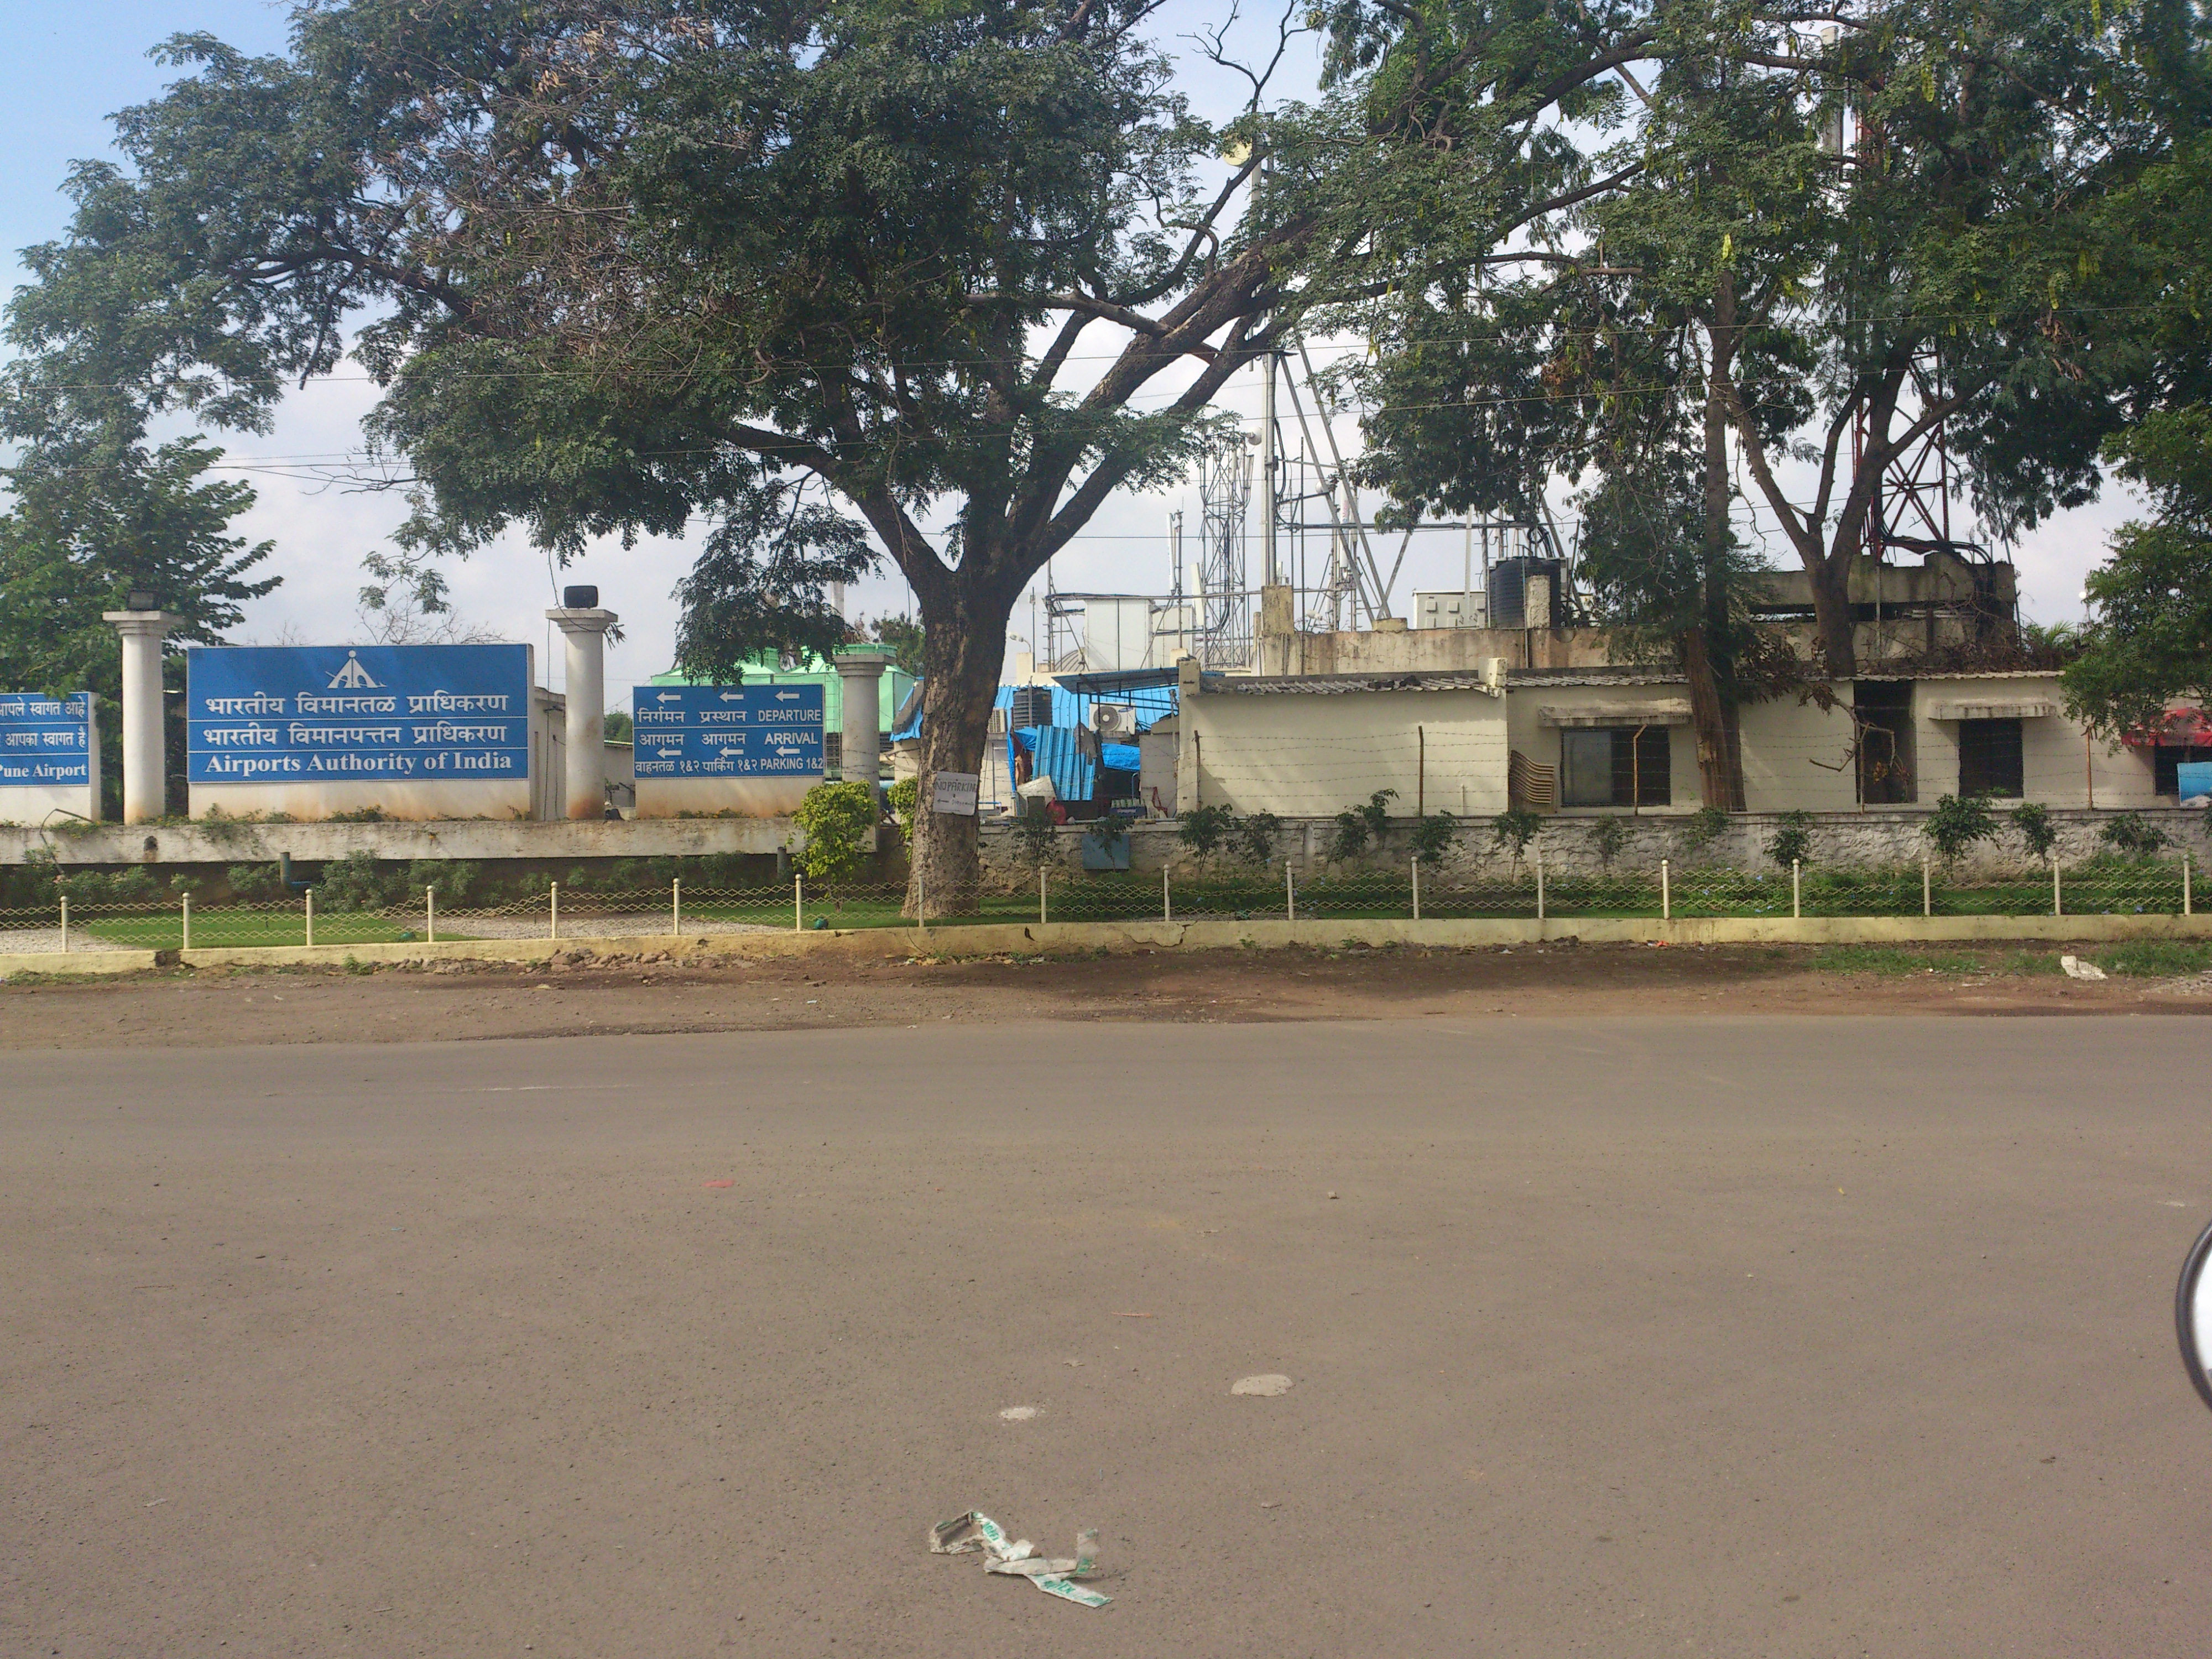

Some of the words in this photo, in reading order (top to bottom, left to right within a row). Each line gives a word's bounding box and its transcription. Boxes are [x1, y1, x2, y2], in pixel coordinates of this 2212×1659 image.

[26, 700, 62, 720] स्वागत
[62, 691, 88, 721] आहे
[201, 688, 288, 718] भारतीय
[290, 687, 401, 717] विमानतळ
[405, 685, 512, 717] प्राधिकरण
[635, 703, 687, 725] निर्गमन
[696, 707, 749, 725] प्रस्थान
[755, 706, 823, 724] DEPARTURE
[3, 731, 41, 749] आपका
[40, 729, 76, 751] स्वागत
[75, 724, 88, 750] हैं
[199, 722, 281, 748] भारतीय
[285, 721, 405, 749] विमानपत्तन
[410, 718, 511, 747] प्राधिकरण
[634, 731, 687, 748] आगमन
[700, 730, 748, 748] आगमन
[761, 728, 822, 748] ARRIVAL
[30, 761, 89, 783] Airport
[201, 754, 302, 779] Airports
[302, 752, 420, 778] Authority
[421, 749, 451, 777] of
[451, 749, 517, 776] India
[634, 759, 677, 778] वाहनतळ
[677, 758, 701, 776] १&२
[701, 755, 736, 776] पार्किंग
[735, 756, 757, 774] १&२
[758, 756, 805, 773] PARKING
[805, 755, 823, 773] 1&2